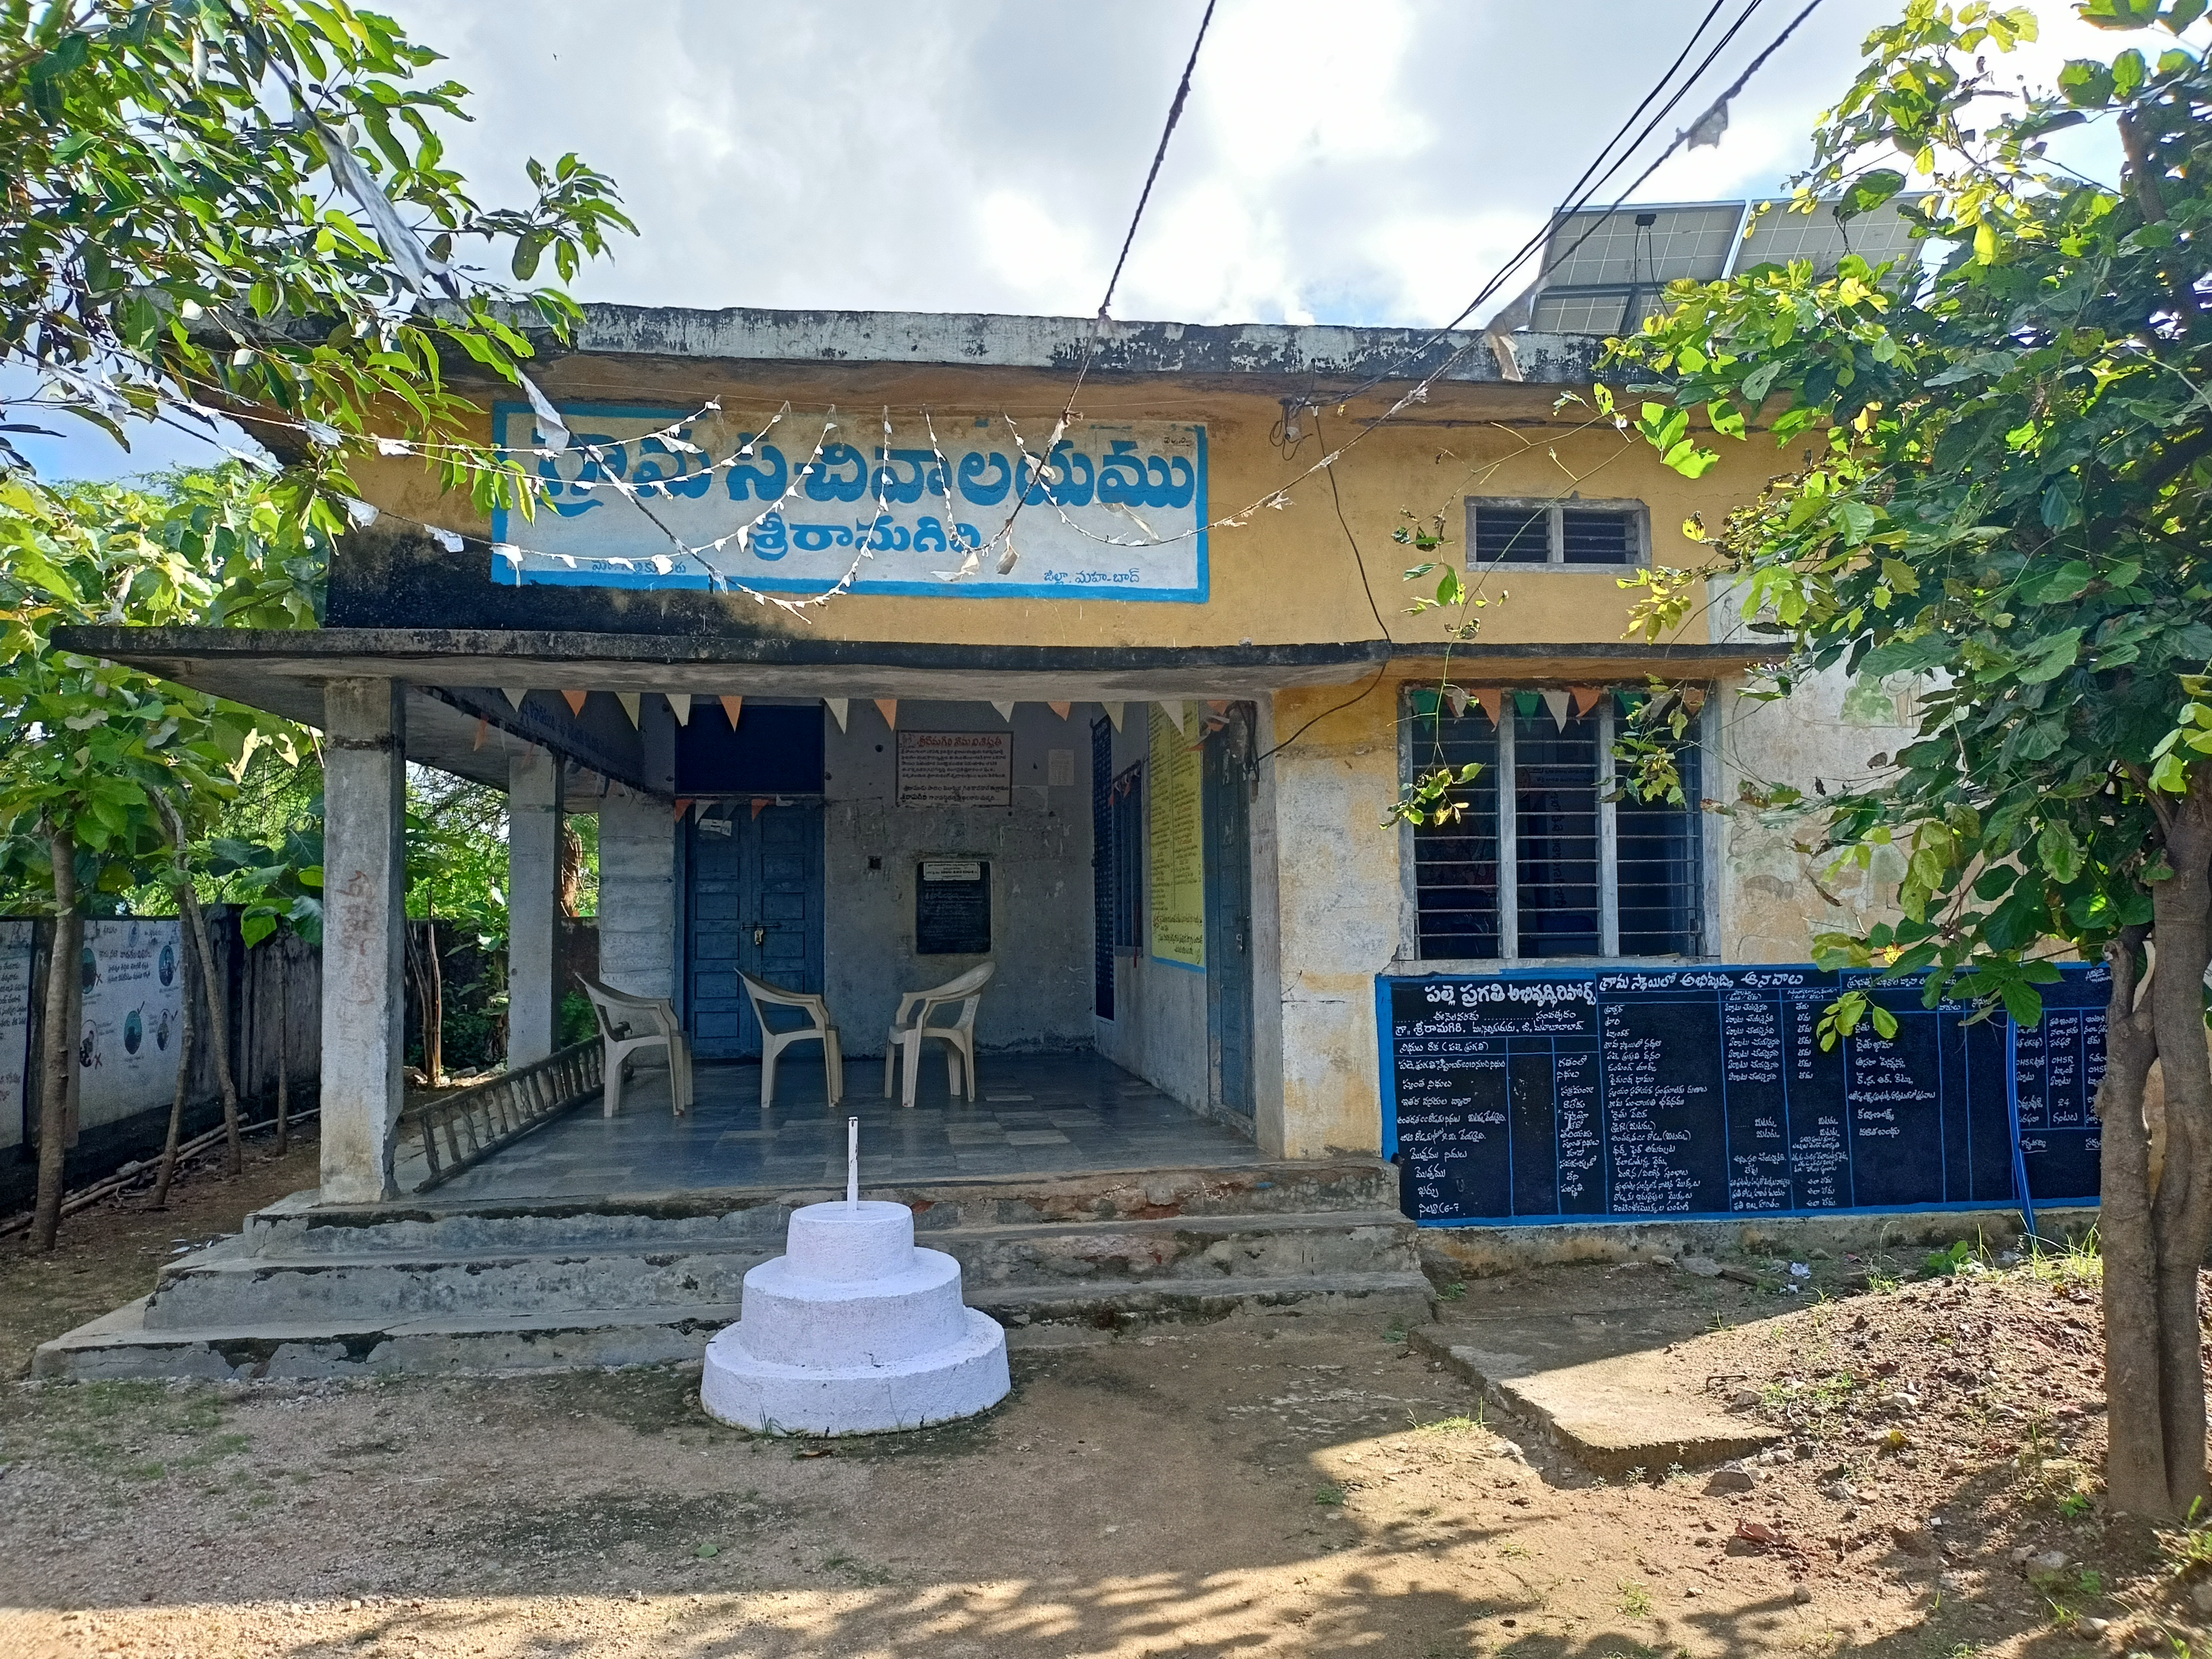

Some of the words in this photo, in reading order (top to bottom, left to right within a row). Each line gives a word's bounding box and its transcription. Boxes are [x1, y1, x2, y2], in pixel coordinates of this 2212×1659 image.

[523, 420, 1200, 523] గ్రామ సచినాల దుము
[728, 504, 987, 568] శ్రీ రామగిరి
[1036, 561, 1145, 594] జిల్లా, మహ-బాద్
[914, 731, 954, 750] శ్రీరామగిరి
[899, 781, 930, 794] శ్రీరాముడు
[898, 790, 928, 804] శ్రీరామగిరి
[1595, 968, 1635, 994] గ్రామ
[1628, 966, 1685, 997] స్థాయిలో
[1677, 966, 1739, 992] అభివృది
[1736, 967, 1810, 992] ఆనావాలు
[1419, 982, 1460, 1013] పల్లె
[1453, 979, 1510, 1014] ప్రగతి
[1504, 979, 1601, 1010] అభివృద్ధ్ఫిరిపోర్ట్
[1391, 1021, 1410, 1041] గ్రా
[1410, 1016, 1468, 1041] శ్రీరామగి8,
[1430, 1008, 1483, 1026] ఈసెలవరకు
[1466, 1018, 1519, 1037] మః, నెల్లికుదురు .
[1515, 1017, 1585, 1037] జి. మహబూబాబాద్.
[1532, 1006, 1581, 1025] సంవత్సరం
[1721, 1015, 1746, 1028] ఏర్పాటు
[1724, 1025, 1748, 1037] ఏర్పాటు.
[1745, 1025, 1777, 1039] చేయస్తనది
[1793, 1021, 1817, 1035] లేదు
[1394, 1037, 1428, 1056] నిధులు
[1423, 1039, 1444, 1058] 8క
[1441, 1037, 1488, 1058] (పత్తి ప్రగతి)
[1641, 1036, 1664, 1052] నత్సరా
[1853, 1034, 1896, 1055] రైతుళమా
[1396, 1072, 1428, 1094] స్వంత
[1421, 1071, 1457, 1095] నిధులు
[1392, 1055, 1510, 1078] పలె, ప్రగతి సెప్టెంబర్ 2019 నుంచి విధుది
[1552, 1053, 1593, 1068] గతంలో
[1554, 1079, 1598, 1100] స్రక్రమశా
[1605, 1083, 1631, 1099] స్వయం
[1604, 1059, 1636, 1073] ఓంపింగ్
[1725, 1058, 1750, 1073] ఏర్పాటు
[1749, 1058, 1781, 1072] చేయనైన
[1796, 1068, 1816, 1082] లేదు
[1852, 1056, 1877, 1070] ఆసరా
[1855, 1070, 1916, 1089] కే.సీ.ఆర్. కిట్లు
[2049, 1053, 2075, 1068] OHSR
[1392, 1091, 1423, 1114] ఇతర
[1392, 1110, 1463, 1130] అంతర్గత cc బిడ్డకు నిధులు
[1418, 1093, 1452, 1111] వనరుల
[1447, 1094, 1474, 1110] ద్వారా
[1606, 1104, 1630, 1123] రైతు
[1626, 1104, 1651, 1121] వేదిక
[1655, 1093, 1688, 1111] భవనము
[1751, 1113, 1780, 1130] మీటర్లు
[2053, 1097, 2073, 1110] 24
[2048, 1109, 2080, 1126] గంటట
[1855, 1125, 1902, 1140] దళిత బంధు
[1405, 1144, 1442, 1166] మొత్తము
[1440, 1145, 1470, 1168] నిమట
[1791, 1149, 1849, 1165] శుక్వవచ్చవలసిన
[1410, 1160, 1451, 1184] మొశ్చము
[1660, 1165, 1691, 1180] స్తంభబ
[1743, 1162, 1761, 1177] తపు
[1408, 1179, 1442, 1202] ఖర్చ
[1555, 1182, 1587, 1199] పరిస్థితి.
[1804, 1183, 1838, 1197] శిలా లేమ
[1610, 1199, 1667, 1215] ఇంటింటి మొక్కల
[1664, 1199, 1692, 1214] బంపిణీ
[1730, 1197, 1783, 1214] ప్రతీ ఇల్లు హరితం.
[1819, 1196, 1838, 1209] లేమ.